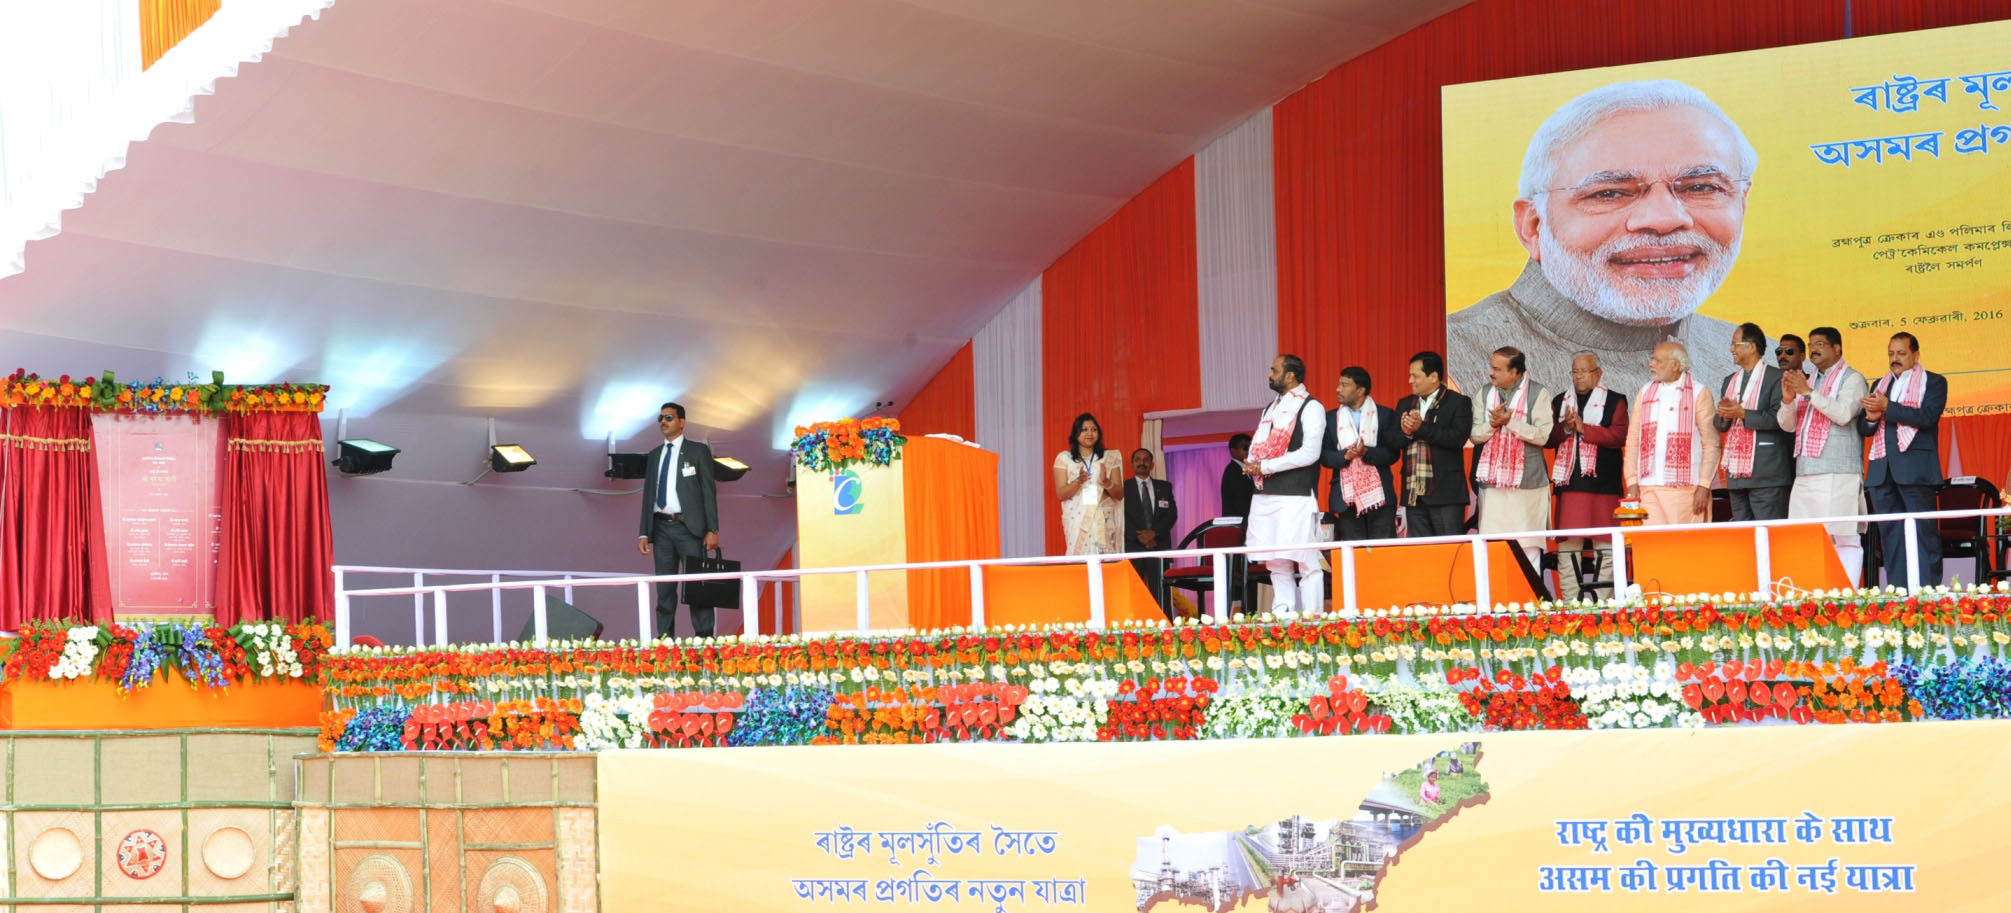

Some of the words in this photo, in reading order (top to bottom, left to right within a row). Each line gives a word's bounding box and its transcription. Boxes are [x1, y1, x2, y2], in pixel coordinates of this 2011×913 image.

[1848, 68, 1955, 118] ৰাষ্ট্ৰৰ
[1958, 67, 2011, 115] মূল
[1807, 125, 1949, 177] অসমৰ
[1952, 117, 2011, 159] প্ৰগ
[1829, 232, 1872, 252] ব্রহ্মপুত্র
[1874, 225, 1921, 248] ক্রেকাৰ
[1871, 237, 1965, 265] পেট্র কেমিকেল
[1900, 253, 1946, 279] ৰাষ্ট্ৰলৈ
[1922, 223, 1946, 242] এণ্ড
[1946, 256, 1981, 273] সমৰ্পণ
[1951, 220, 1995, 238] পলিমার
[1959, 234, 2011, 256] কমপ্লেক্স
[1841, 313, 1895, 337] শুক্ৰবাৰ,
[1891, 311, 1913, 333] 5
[1908, 306, 1972, 331] ফেব্রুরাধী,
[1972, 306, 2004, 324] 2016
[804, 818, 882, 867] ৰাষ্ট্ৰৰ
[873, 817, 987, 867] মূলসুঁতিৰ
[984, 818, 1061, 867] সৈতে
[1555, 814, 1617, 858] राष्ट्र्र
[1609, 810, 1655, 850] की
[1662, 810, 1797, 858] मुख्यधारा
[1794, 811, 1822, 845] के
[1825, 807, 1899, 850] साथ
[789, 868, 873, 909] অসমৰ
[869, 857, 970, 909] প্ৰগতিৰ
[963, 871, 1035, 912] নতুন
[1028, 869, 1090, 912] যাত্রা
[1533, 860, 1615, 896] असम
[1614, 858, 1661, 896] की
[1662, 860, 1742, 893] प्रगति
[1745, 855, 1792, 897] क‍ी
[1793, 860, 1840, 893] नई
[1845, 861, 1919, 894] यात्रा